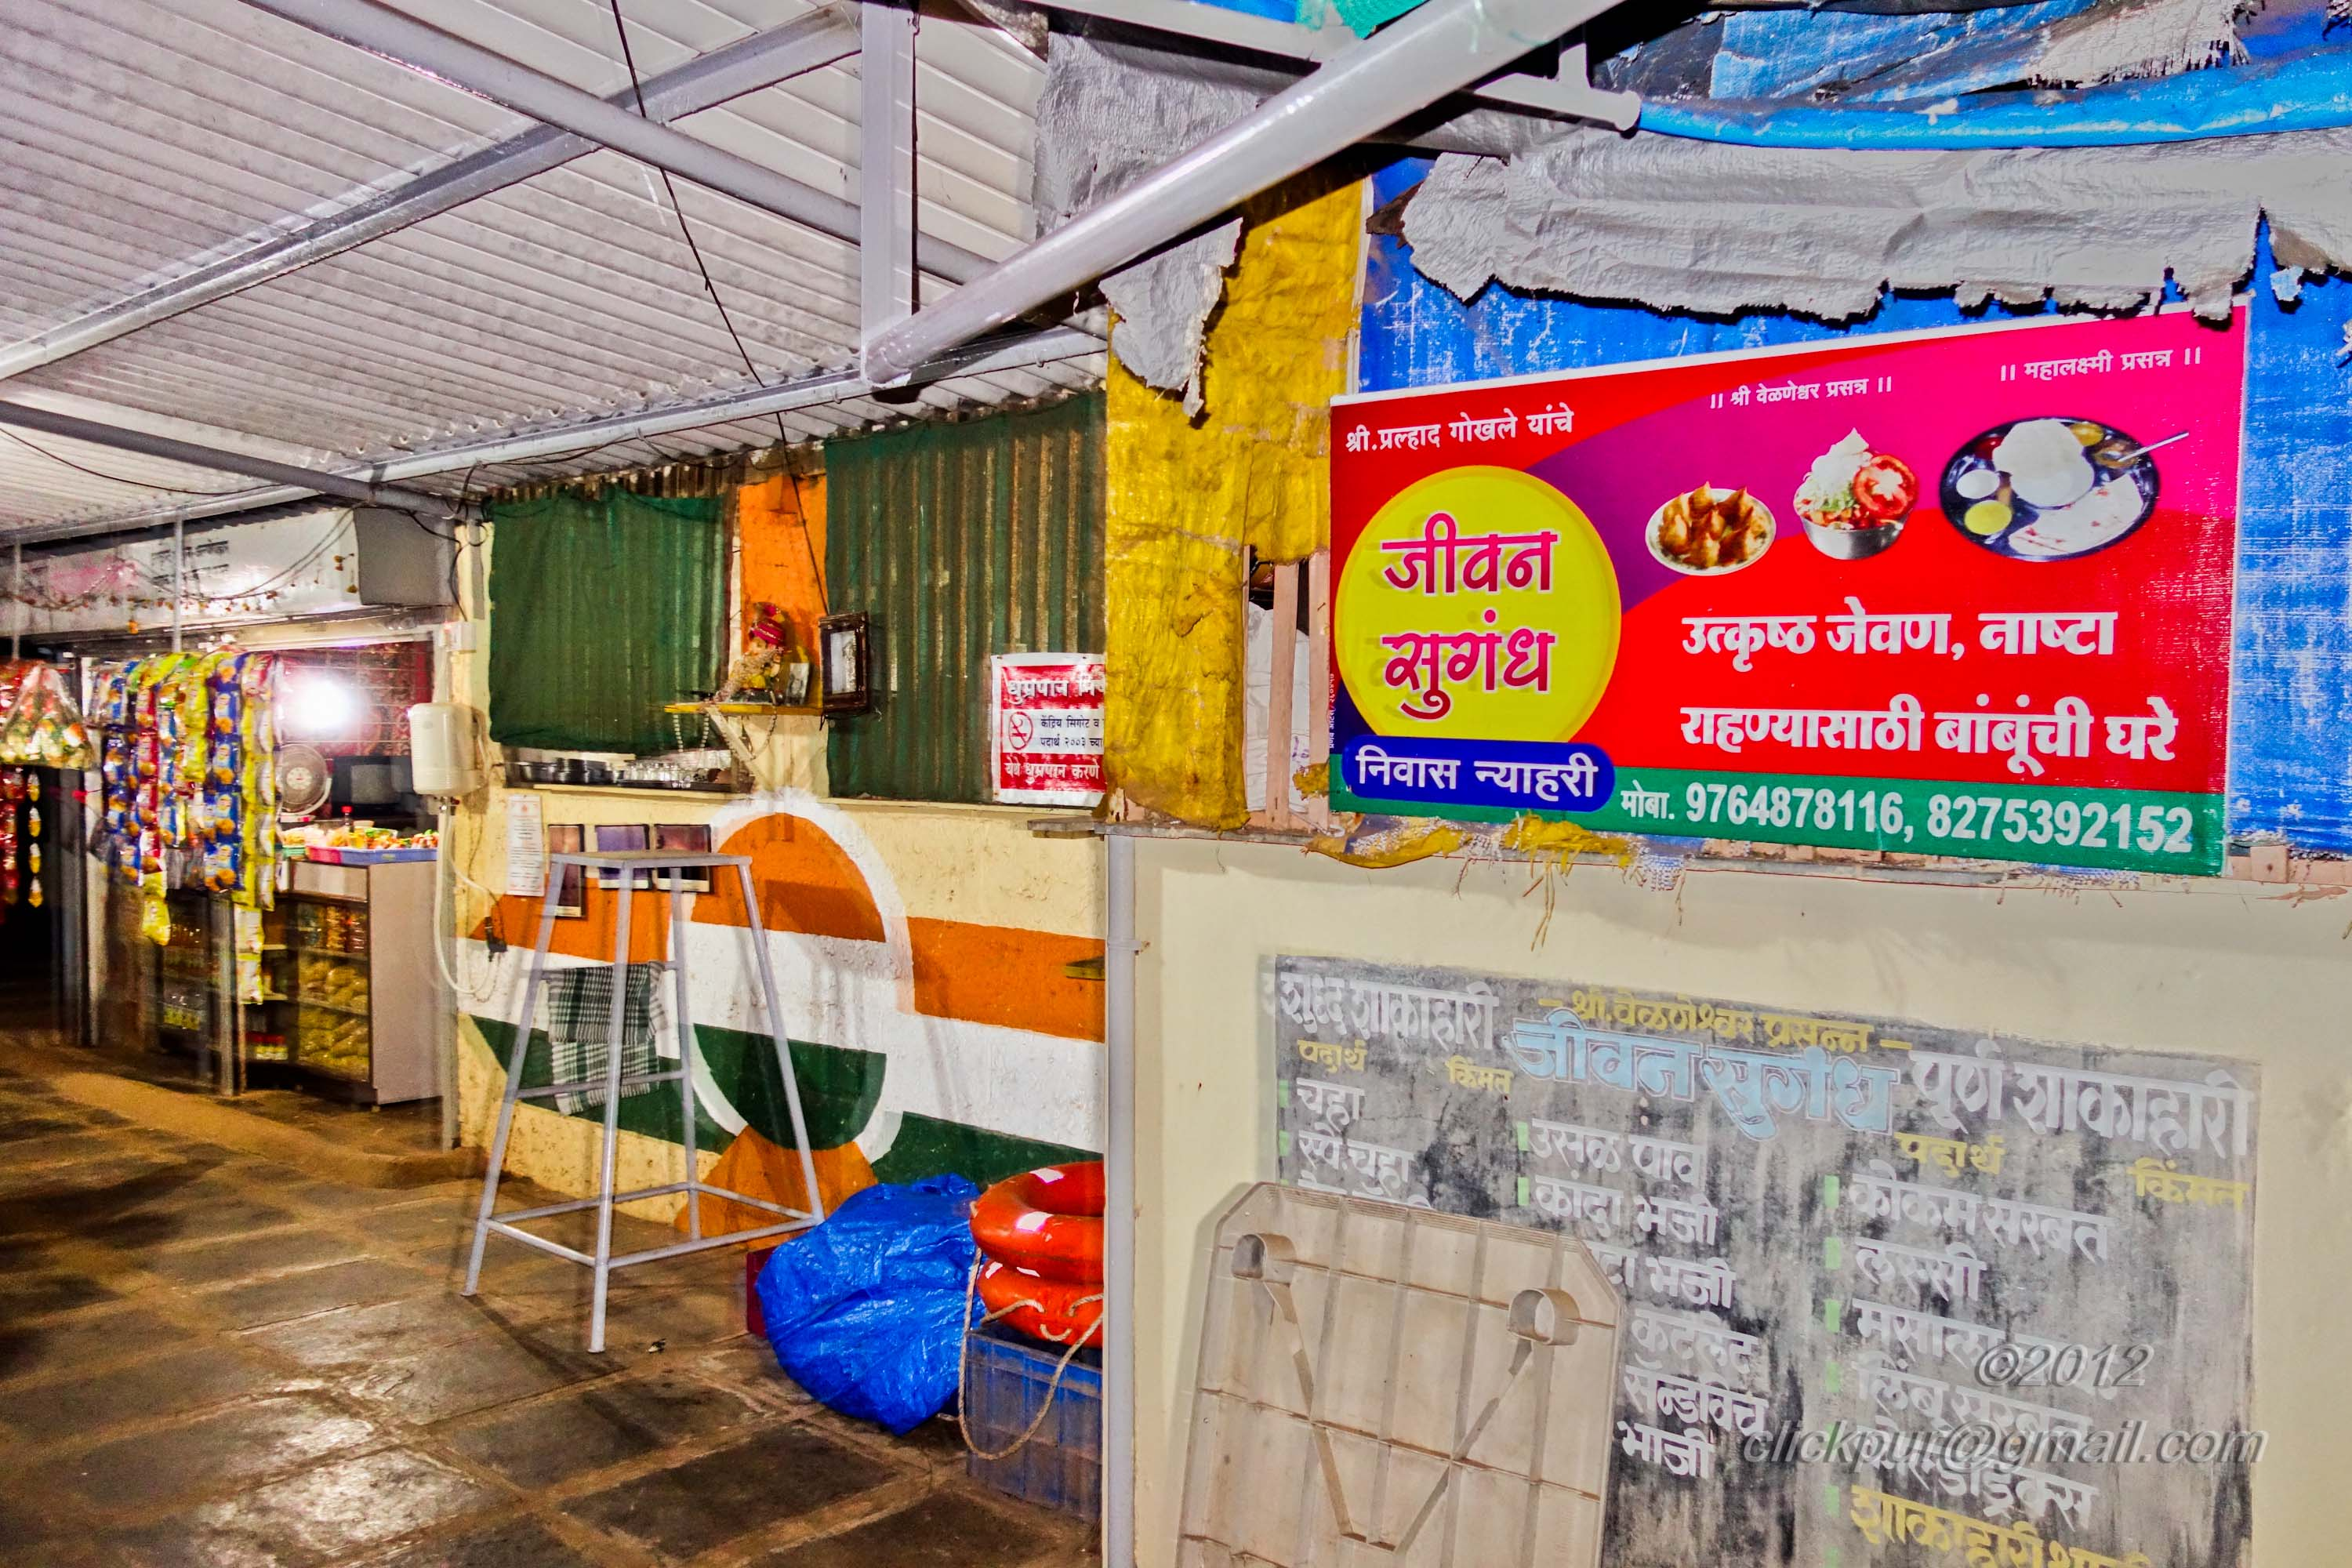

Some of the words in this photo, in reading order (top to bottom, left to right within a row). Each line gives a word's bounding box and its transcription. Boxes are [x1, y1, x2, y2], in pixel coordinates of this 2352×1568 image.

[1343, 416, 1379, 457] श्री.
[1375, 419, 1443, 452] प्रल्हाद
[1446, 404, 1522, 446] गोखले
[1523, 398, 1575, 439] यांचे
[1729, 377, 1756, 410] श्री
[1748, 376, 1823, 406] वेळणेश्वर
[1823, 370, 1878, 401] प्रसन्न
[2022, 338, 2118, 385] महालक्ष्मी
[2116, 344, 2177, 374] प्रसन्न
[1382, 506, 1563, 598] जीवन
[1002, 669, 1075, 707] घुम्रपान
[1381, 602, 1559, 724] सुगंध
[1675, 607, 1823, 681] उत्‍कृष्‍ठ
[1821, 587, 1971, 664] जेवण,
[1975, 605, 2122, 660] नाष्टा
[1000, 752, 1025, 781] येथे
[1023, 757, 1070, 786] धुम्रपान
[1036, 711, 1065, 731] केंद्रिय
[1038, 730, 1064, 751] पदार्थ
[1061, 710, 1095, 733] सिगरेट
[1062, 735, 1094, 751] २००३
[1068, 753, 1103, 785] करणे
[1083, 732, 1106, 753] च्या
[1087, 713, 1108, 731] व
[1349, 738, 1464, 793] निवास
[1472, 744, 1604, 808] न्याहरी
[1610, 773, 1680, 826] मोबा.
[1678, 779, 1911, 838] 9764878116
[1677, 689, 1931, 758] राहण्यासाठी
[1932, 687, 2098, 782] बांबूंची
[1922, 788, 2201, 856] 8275392152
[2096, 688, 2184, 773] घरे
[1276, 969, 1354, 1042] शुध्द
[1294, 1032, 1374, 1076] पदार्थ
[1296, 1069, 1373, 1138] चहा
[1348, 973, 1504, 1055] शाकाहारी
[1436, 1051, 1521, 1099] किंमत
[1567, 981, 1616, 1025] श्री.
[1512, 1000, 1706, 1105] जीवन
[1605, 978, 1764, 1045] वेळणेश्वर
[1700, 1040, 1901, 1146] सुगंध
[1756, 1009, 1878, 1058] प्रसन्‍न
[1905, 1033, 2013, 1142] पूर्ण
[2002, 1056, 2260, 1163] शाकाहारी
[1297, 1130, 1416, 1198] स्पे.चहा
[1526, 1118, 1632, 1177] उसळ
[1535, 1164, 1632, 1243] कांदा
[1628, 1127, 1708, 1190] पाव
[1630, 1186, 1727, 1250] भजी
[1843, 1145, 1987, 1238] कोकम
[1895, 1128, 2013, 1181] पदार्थ
[1983, 1188, 2115, 1268] संरबत
[2122, 1147, 2251, 1218] किंमत
[1644, 1250, 1743, 1312] भजी
[1850, 1232, 1991, 1307] लस्सी
[1626, 1301, 1763, 1377] कटलेंट
[1853, 1293, 2007, 1379] मसाला
[1975, 1327, 2165, 1390] ©2012
[1610, 1416, 1721, 1484] भाजी
[1622, 1345, 1771, 1444] सॅन्डविच
[1845, 1352, 1973, 1452] लिंबू
[1848, 1415, 2107, 1536] कोल्डड्रिक्स​
[1947, 1382, 2100, 1462] सरबत
[1845, 1479, 2051, 1567] शाकाहारी